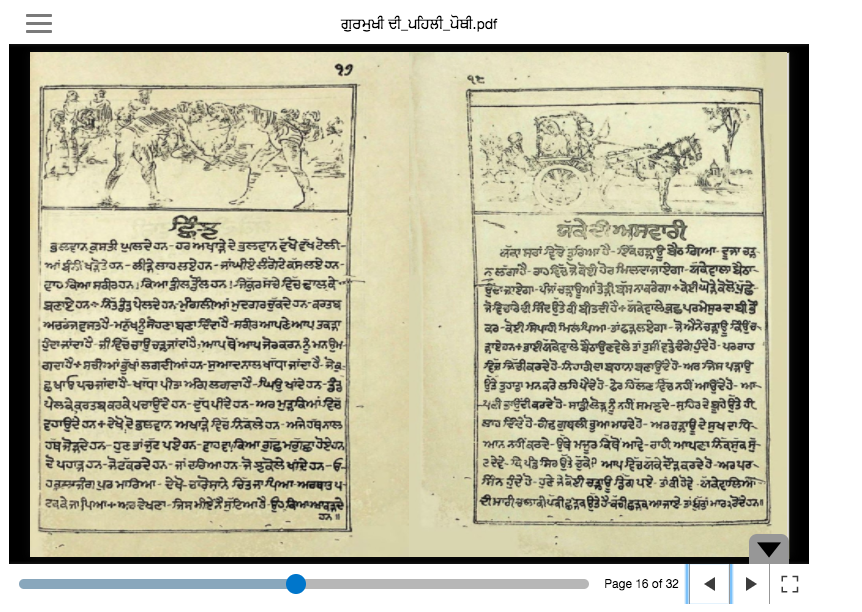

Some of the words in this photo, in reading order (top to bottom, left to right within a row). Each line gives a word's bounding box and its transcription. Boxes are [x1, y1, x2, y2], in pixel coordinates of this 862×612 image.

[337, 12, 475, 35] ਗੁਰਮੁਖੀਦੀਪਹਿਲੀਪੋਥੀ,
[475, 14, 502, 35] pdf
[325, 59, 357, 81] ੧੭
[462, 71, 487, 89] ੧੮
[165, 209, 227, 241] ਛਿੰਝ
[547, 215, 613, 242] ਯੱਕੇਦੀ
[613, 214, 691, 244] ਅਸਵਾਰੀ
[601, 576, 635, 593] Page
[634, 575, 651, 593] 16
[649, 575, 665, 593] of
[665, 577, 682, 594] 32